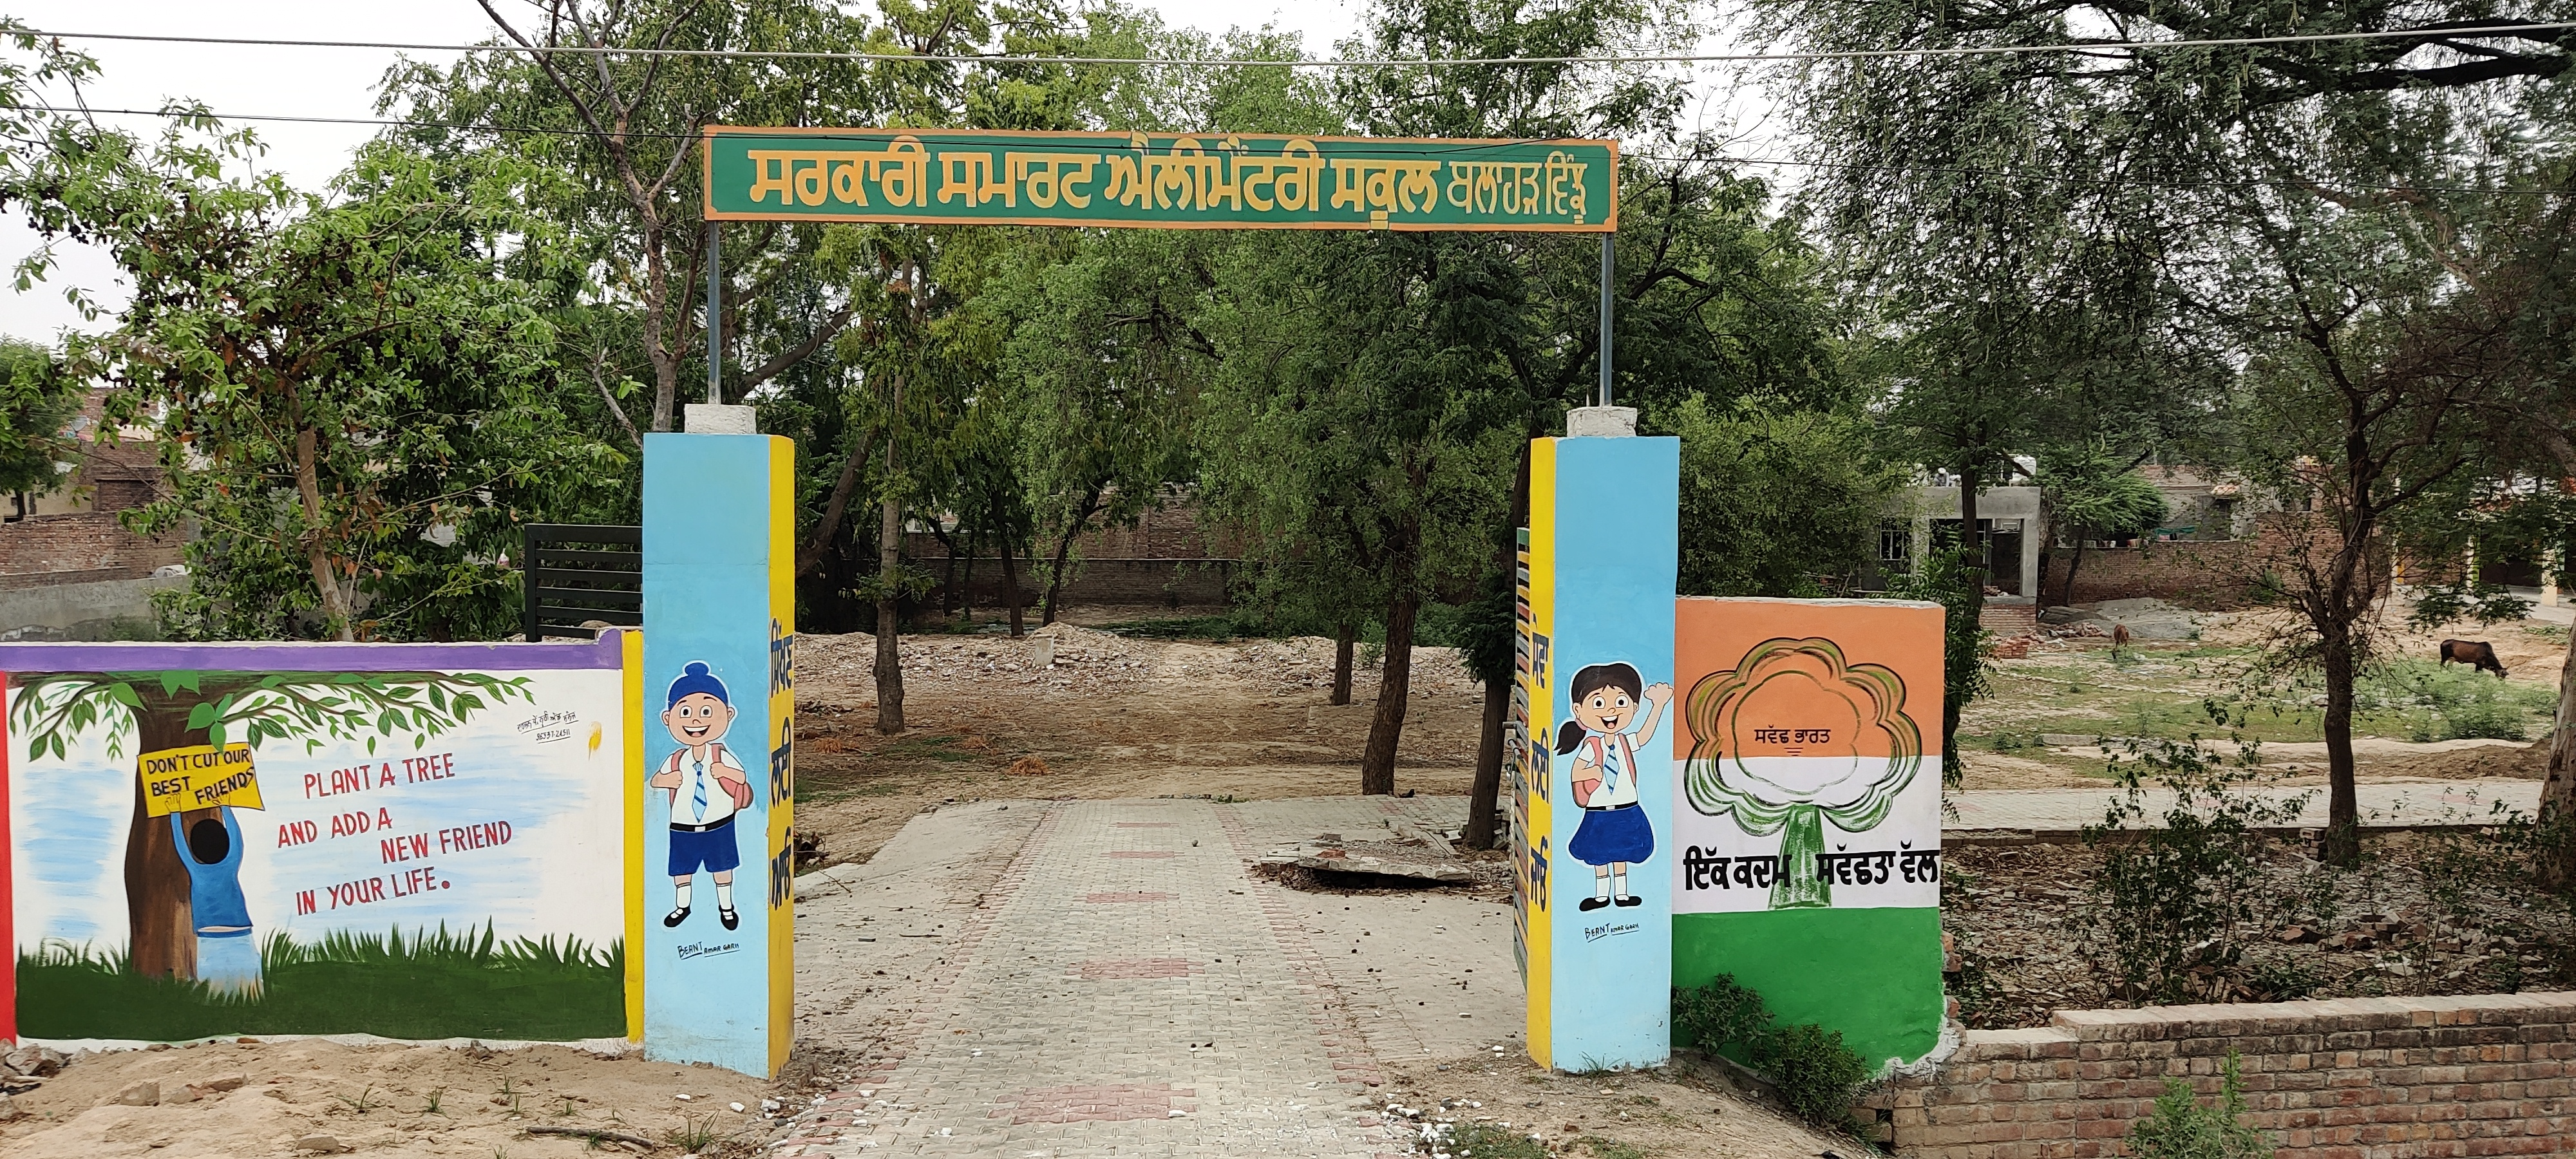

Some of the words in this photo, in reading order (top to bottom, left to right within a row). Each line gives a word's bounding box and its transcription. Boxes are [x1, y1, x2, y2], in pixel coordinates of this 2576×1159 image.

[741, 133, 932, 213] ਸਰਕਾਰੀ
[932, 142, 1104, 214] ਸਮਾਰਟ
[1097, 127, 1327, 218] ਐਲੀਮੈਂਟਰੀ
[1323, 153, 1444, 228] ਸਕੂਲ
[1440, 147, 1595, 228] ਬਲਾਹੜਵਿੰਡੂ
[1750, 720, 1792, 745] ਸਵੱਛ
[1792, 724, 1835, 747] ਭਾਰਤ
[142, 749, 191, 777] DON
[145, 773, 194, 801] BEST
[189, 749, 222, 770] CUT
[189, 761, 258, 809] FRIENDS
[220, 746, 252, 771] OUR
[297, 757, 377, 807] PLANT
[374, 757, 401, 789] A
[395, 748, 465, 789] TREE
[269, 813, 323, 855] AND
[288, 883, 319, 918] IN
[323, 805, 375, 844] ADD
[322, 873, 390, 915] YOUR
[370, 800, 398, 837] A
[375, 825, 435, 869] NEW
[383, 862, 455, 903] LIFE.
[433, 816, 522, 860] FRIEND
[1675, 840, 1734, 895] ਇੱਕ
[1730, 847, 1801, 889] ਕਦਮ
[1808, 839, 1899, 892] ਸਵੱਛਤਾ
[1895, 833, 1942, 885] ਵੱਲ
[672, 936, 705, 964] BERNT